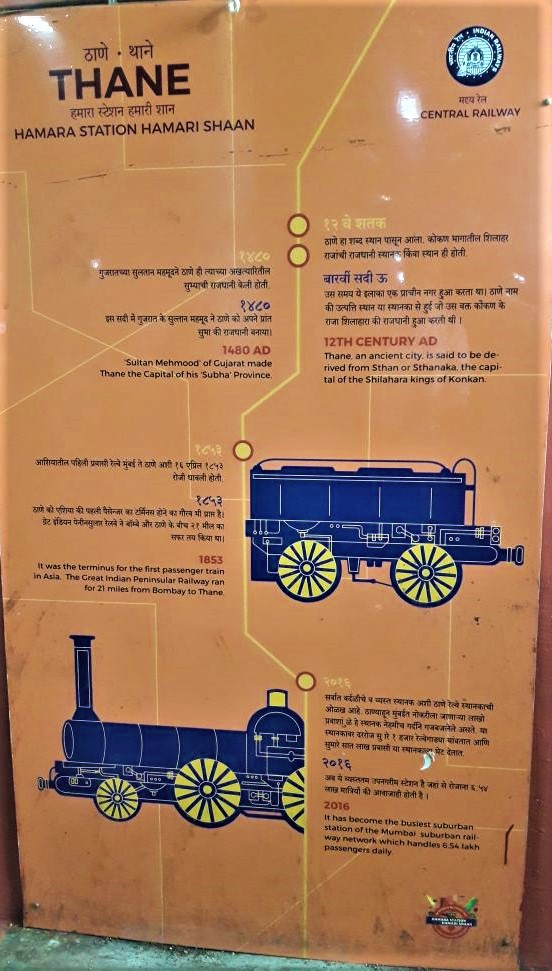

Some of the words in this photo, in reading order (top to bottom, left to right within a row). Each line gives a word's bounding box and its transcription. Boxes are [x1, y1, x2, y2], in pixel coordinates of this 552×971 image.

[79, 40, 111, 65] ठाणे
[125, 38, 156, 61] थाने
[45, 59, 196, 105] THANE
[66, 103, 96, 123] हमारा
[96, 100, 127, 121] स्टेशन
[125, 99, 155, 121] हमारी
[153, 100, 179, 118] शान
[417, 106, 471, 121] CENTRAL
[469, 103, 527, 121] RAILWAY
[11, 123, 79, 143] HAMARA
[75, 120, 139, 142] STATION
[138, 116, 201, 143] HAMARI
[201, 115, 261, 137] SHAAN
[317, 209, 339, 235] १२
[340, 211, 354, 233] वे
[354, 211, 391, 232] शतक
[233, 244, 273, 265] १४८०
[320, 267, 351, 289] बारवीं
[352, 267, 374, 287] सदी
[374, 268, 393, 287] ऊ
[237, 296, 274, 314] १४८०
[220, 340, 253, 357] 1480
[251, 341, 274, 359] AD
[321, 331, 355, 350] 12TH
[353, 331, 418, 351] CENTURY
[417, 333, 441, 348] AD
[190, 440, 227, 459] १८५३
[191, 491, 226, 509] १८५३
[197, 552, 228, 567] 1853
[319, 672, 360, 691] २०१६
[317, 751, 356, 775] २०१६
[317, 797, 353, 815] 2016